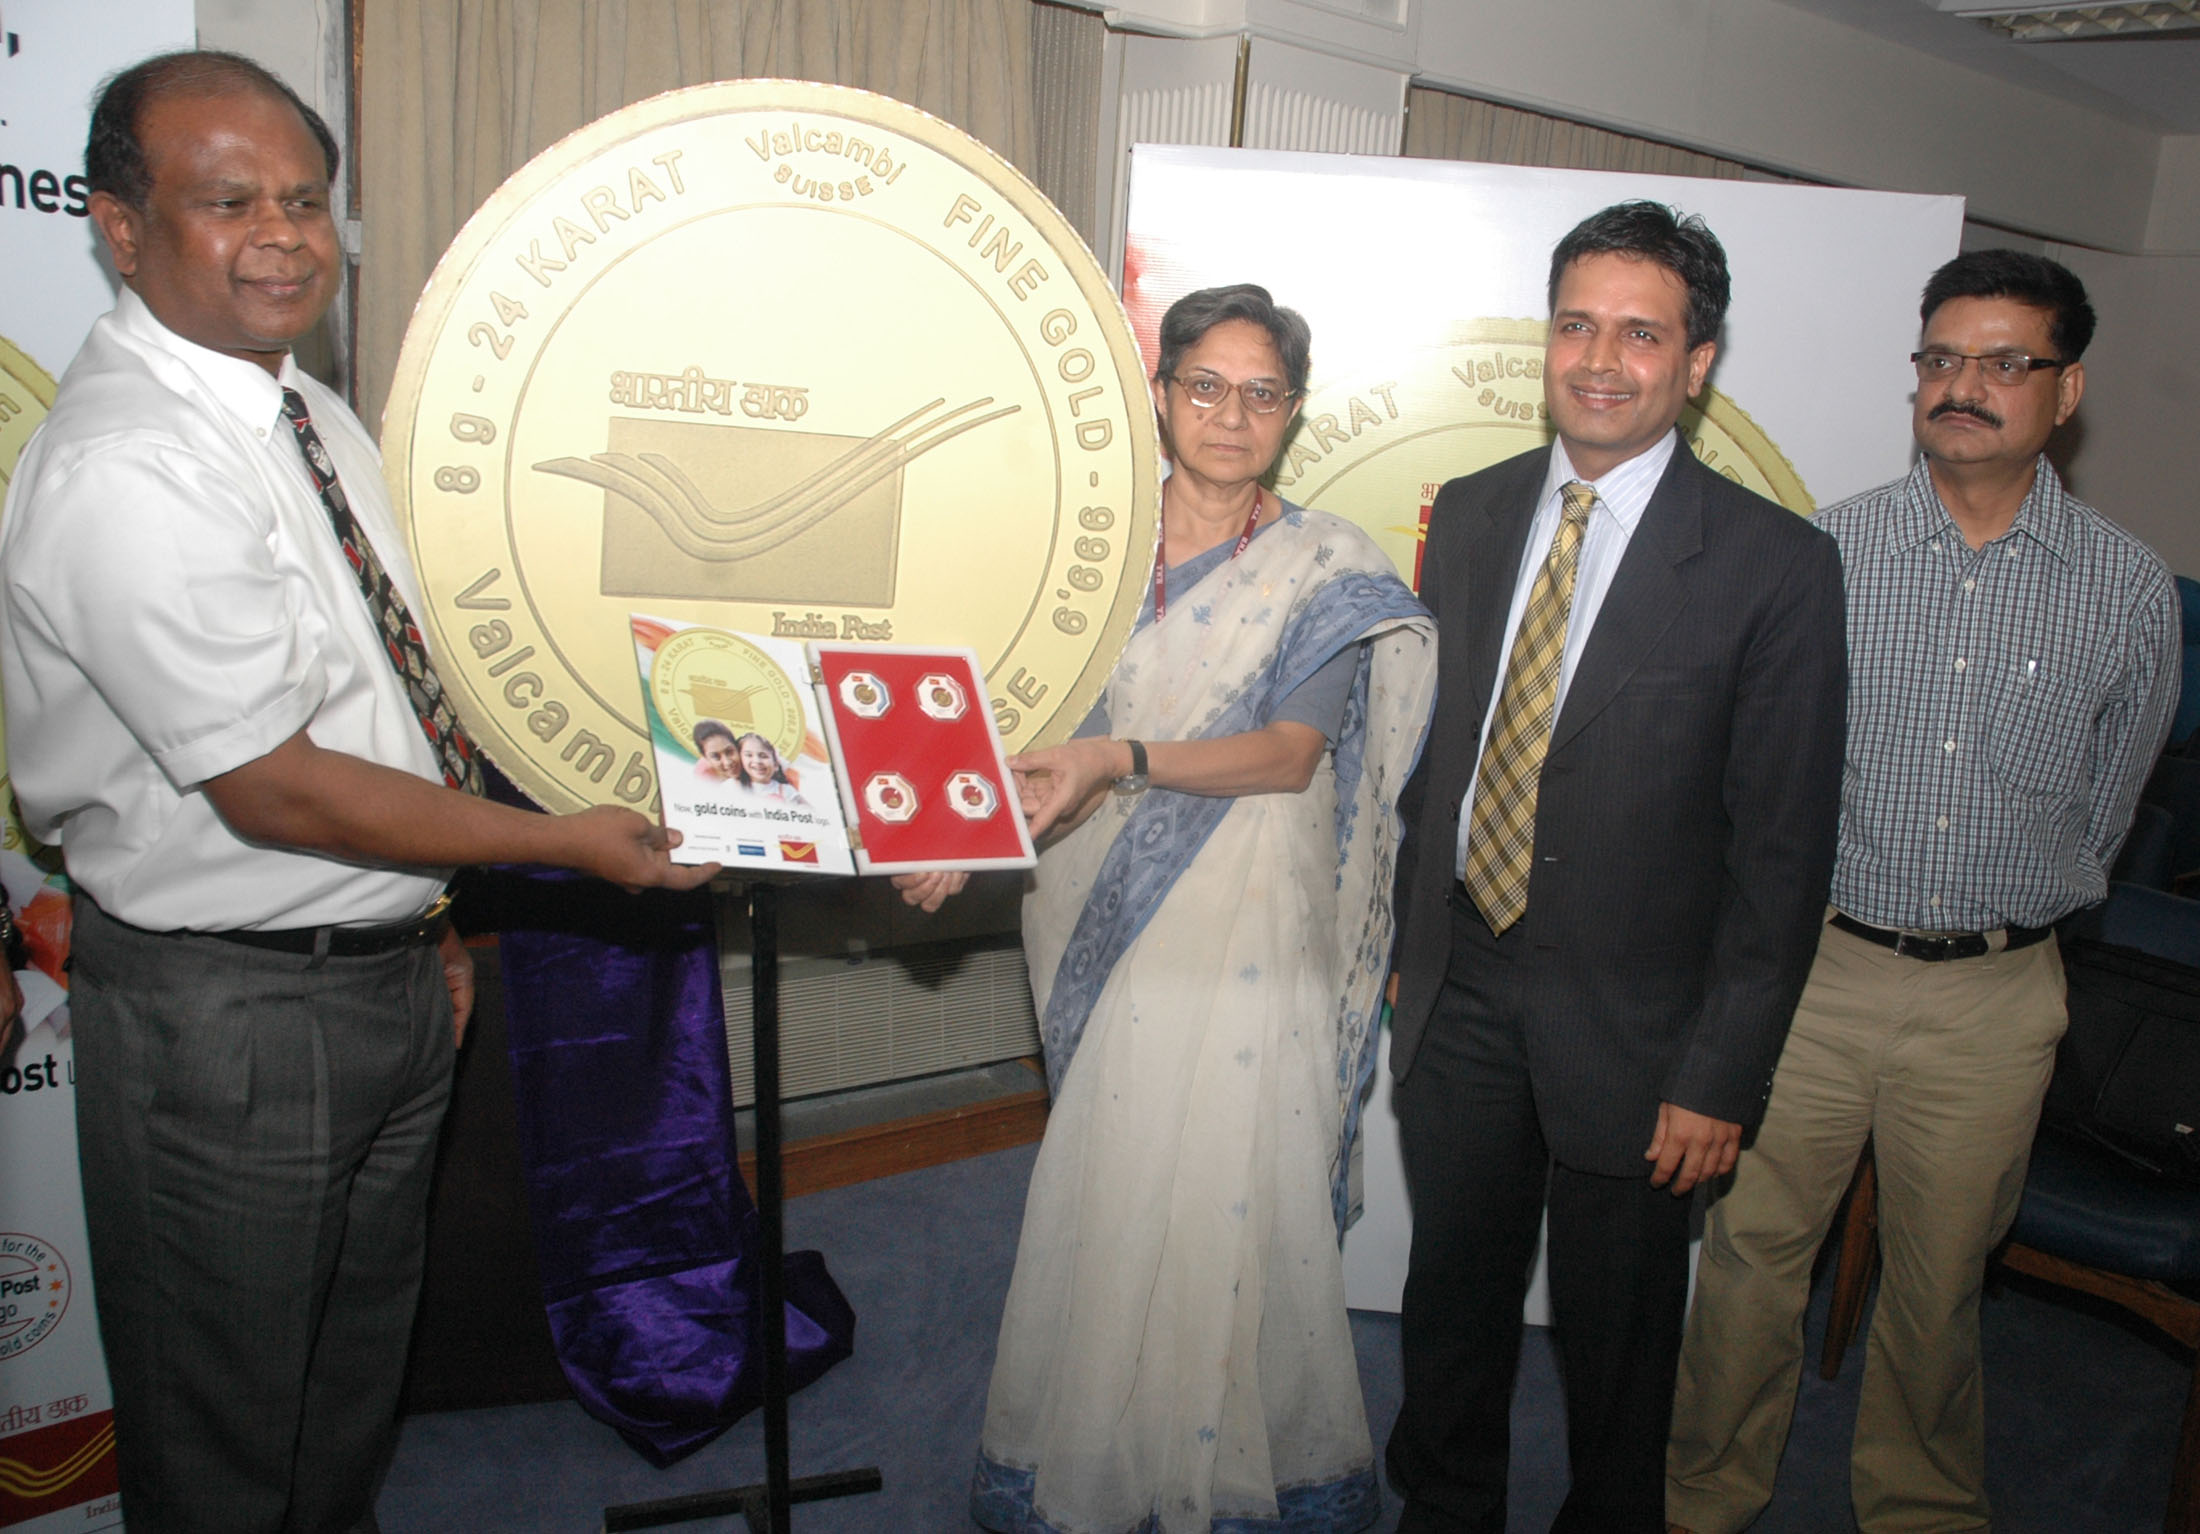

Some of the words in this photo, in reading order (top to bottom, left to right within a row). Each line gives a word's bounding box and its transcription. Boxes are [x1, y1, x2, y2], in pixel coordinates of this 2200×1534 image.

[745, 120, 912, 191] Valcambi
[768, 159, 879, 209] SUISSE
[507, 143, 695, 295] KARAT
[939, 191, 1052, 307] FINE
[460, 288, 531, 367] 24
[602, 359, 741, 421] भारतीय
[735, 377, 815, 428] डाक
[1035, 297, 1119, 458] GOLD
[429, 394, 498, 498] 89
[1251, 375, 1407, 507] KARAT
[766, 603, 842, 645] India
[837, 609, 897, 647] Post
[446, 561, 659, 815] Valcamb
[685, 797, 722, 823] gold
[715, 801, 751, 825] coins
[760, 805, 793, 826] India
[789, 806, 816, 829] Post
[4, 1055, 58, 1096] ost
[19, 1238, 52, 1271] the
[18, 1304, 61, 1347] coins
[0, 1403, 48, 1440] तीय
[46, 1388, 100, 1428] डाक